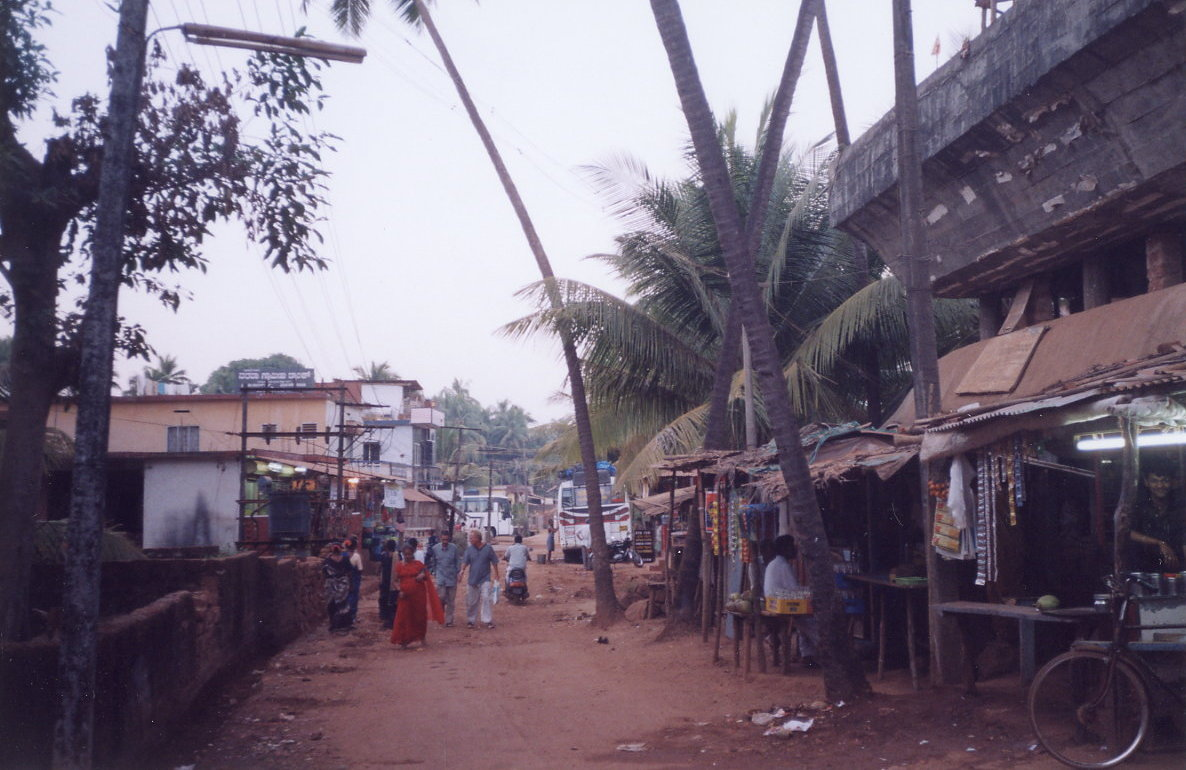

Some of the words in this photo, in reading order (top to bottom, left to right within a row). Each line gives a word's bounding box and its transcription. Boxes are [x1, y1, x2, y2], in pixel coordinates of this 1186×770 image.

[233, 367, 261, 385] ಬರಲಾ